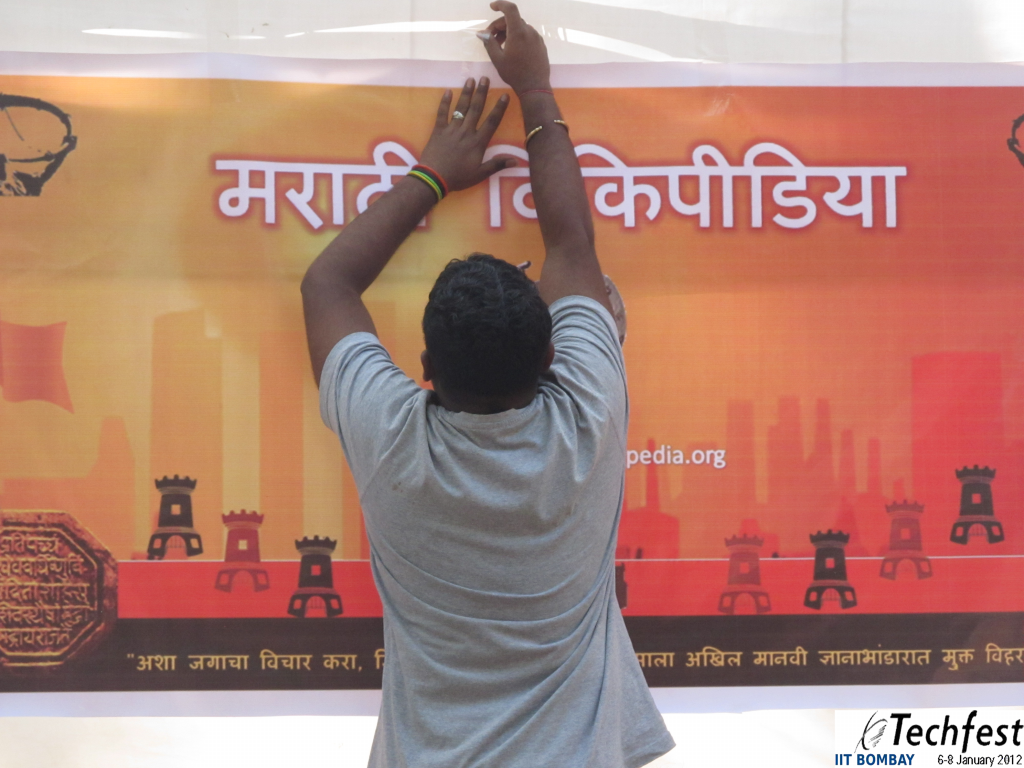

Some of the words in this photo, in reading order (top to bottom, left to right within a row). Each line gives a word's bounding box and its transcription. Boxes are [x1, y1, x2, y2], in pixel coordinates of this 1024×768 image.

[211, 126, 442, 237] मराठी
[470, 130, 916, 234] किपीडिया
[620, 440, 734, 474] pedia.org
[133, 648, 183, 678] अशा
[182, 648, 253, 680] जगाचा
[253, 641, 316, 675] विचार
[320, 651, 363, 673] करा,
[631, 648, 678, 674] माला
[678, 636, 748, 673] अखिल
[752, 639, 812, 671] मानवी
[814, 638, 932, 672] ज्ञानाभांडारात
[935, 643, 978, 678] मुक्त
[978, 636, 1024, 668] विहर
[888, 706, 1024, 758] Techfest
[827, 749, 855, 767] IIT
[853, 750, 918, 768] BOMBAY
[933, 750, 999, 768] 6-8 January
[994, 748, 1024, 768] 2012